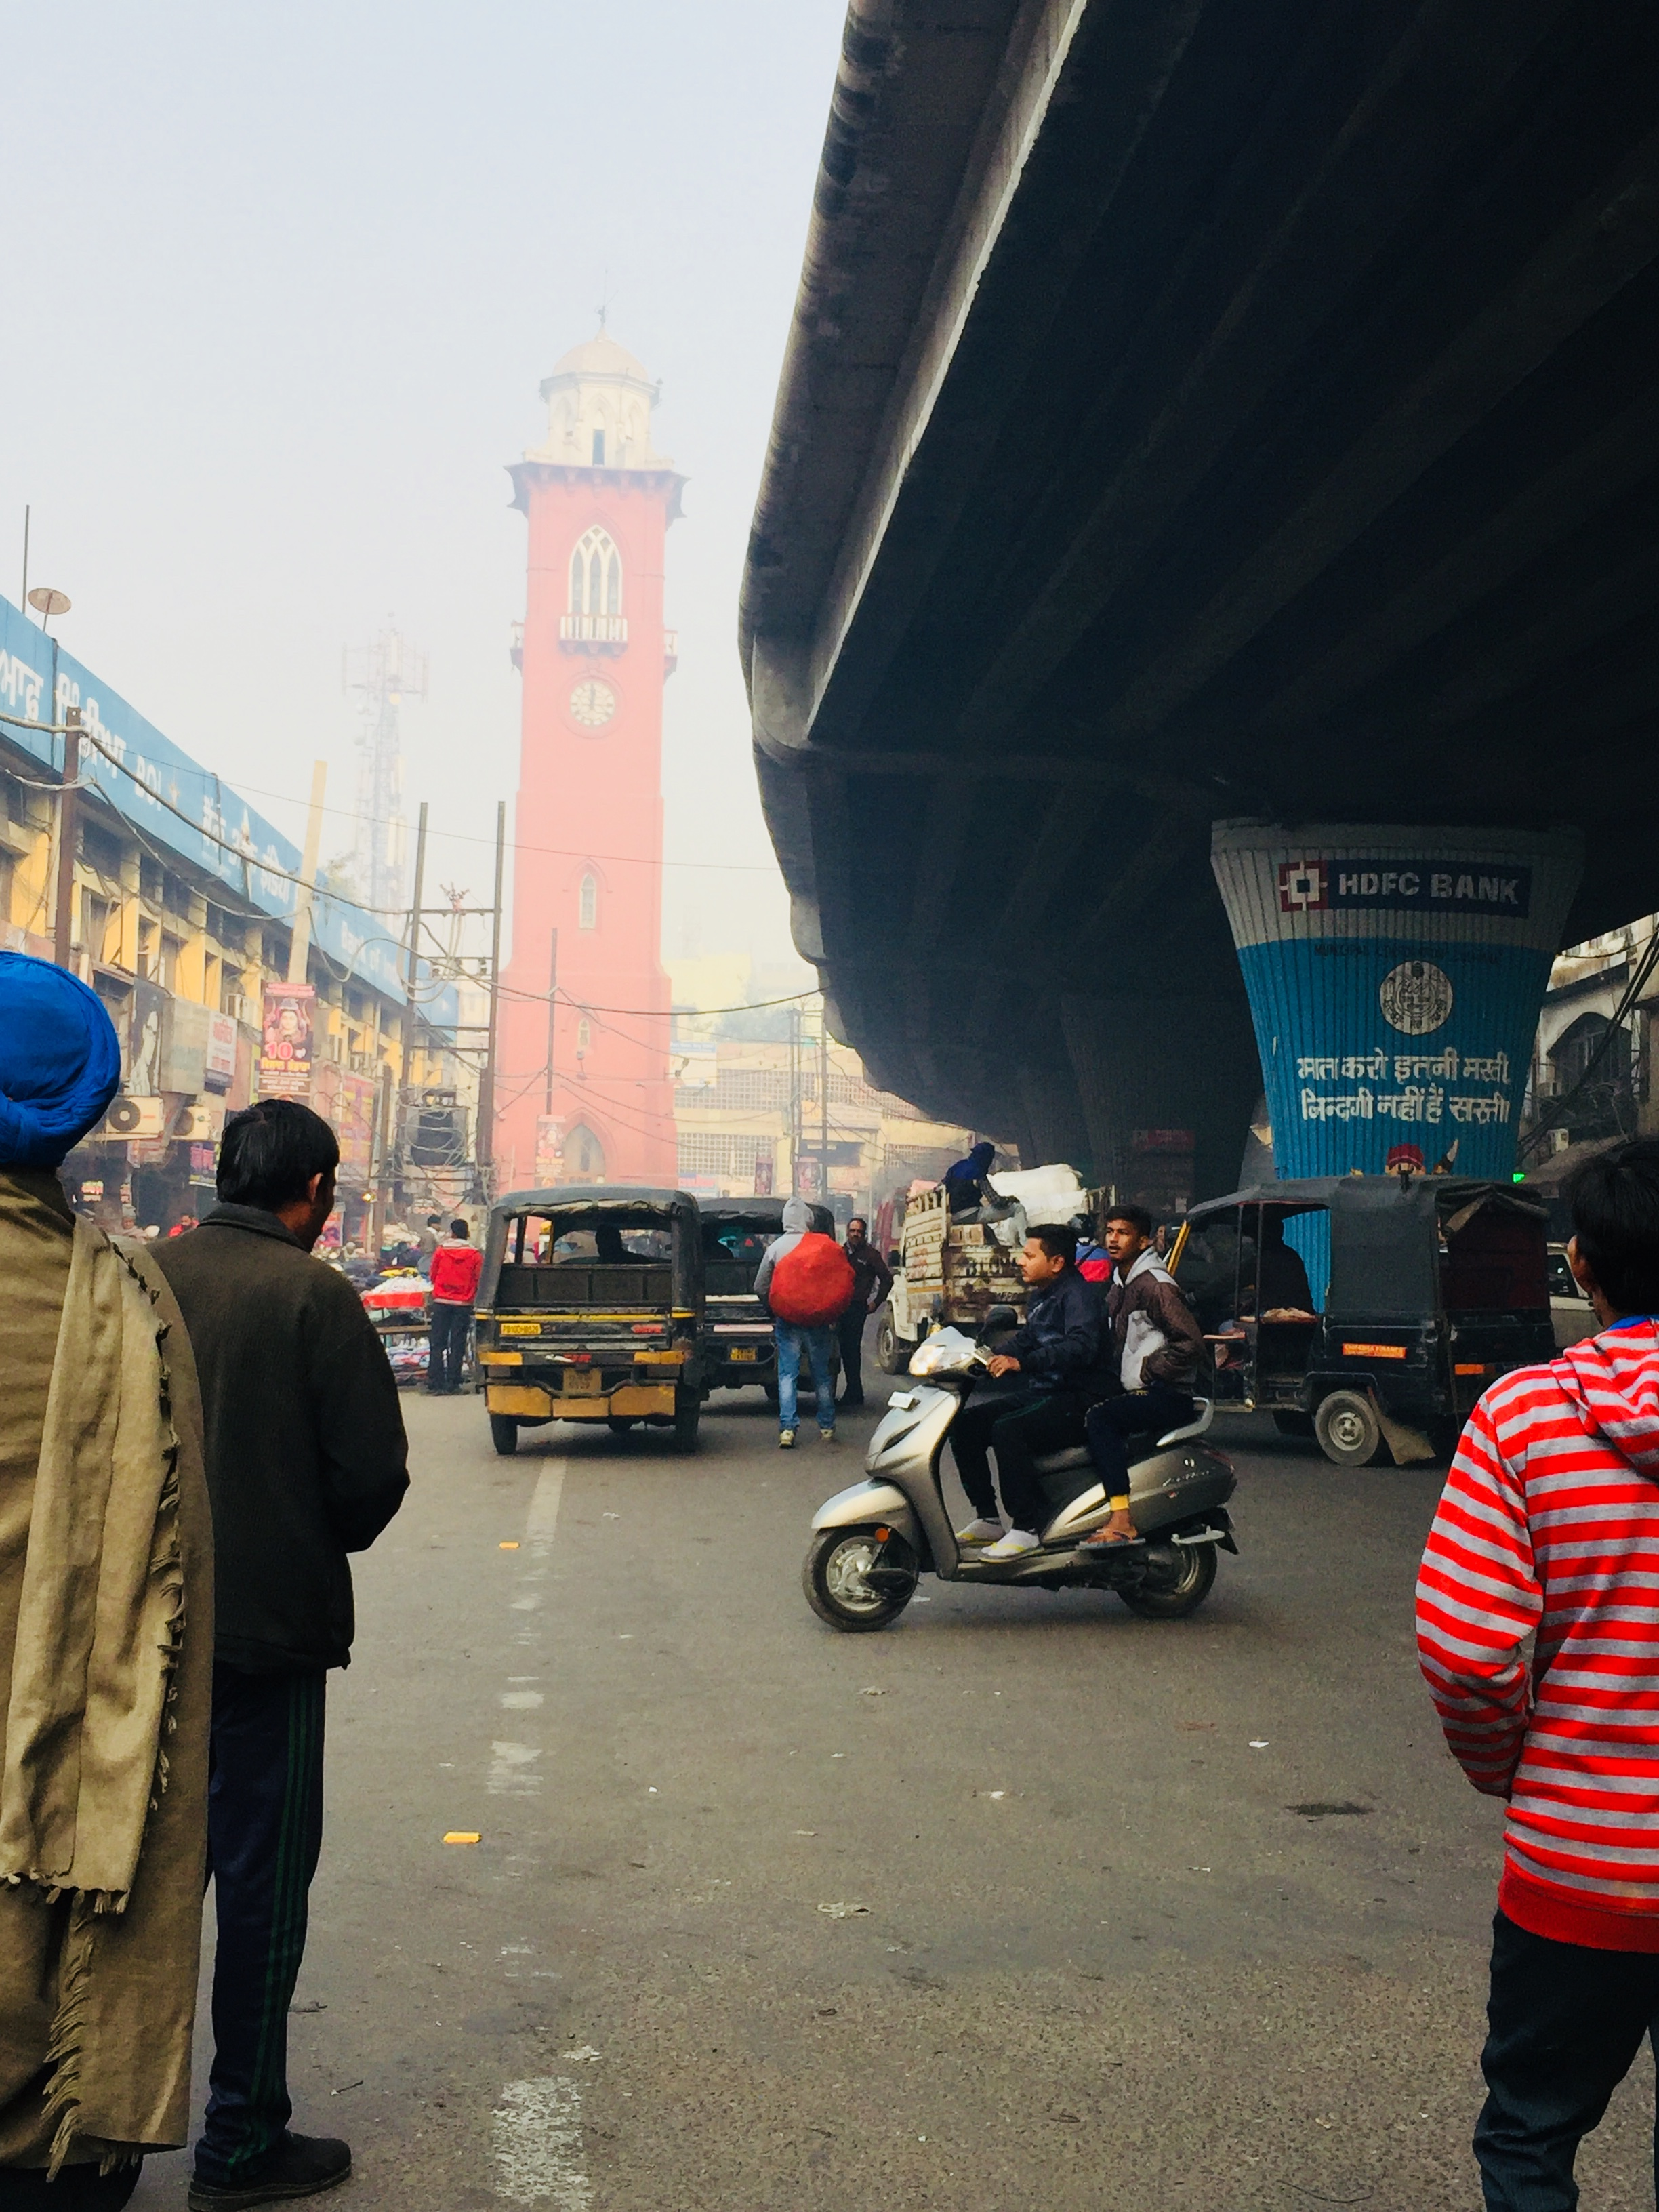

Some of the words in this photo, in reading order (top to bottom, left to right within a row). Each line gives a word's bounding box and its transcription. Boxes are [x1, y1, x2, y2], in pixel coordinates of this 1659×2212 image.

[0, 638, 50, 725] ਆਫ਼
[1332, 866, 1427, 905] HDFC
[1426, 865, 1525, 916] BANK
[262, 1040, 295, 1061] 10
[1290, 1053, 1340, 1084] मत
[1338, 1044, 1391, 1085] करो
[1391, 1044, 1463, 1088] इतनी
[1460, 1048, 1516, 1088] मस्ती
[1295, 1084, 1377, 1127] जिन्दगी
[1375, 1080, 1427, 1126] नहीं
[1425, 1082, 1448, 1127] हैं
[1446, 1088, 1513, 1126] सस्ती।